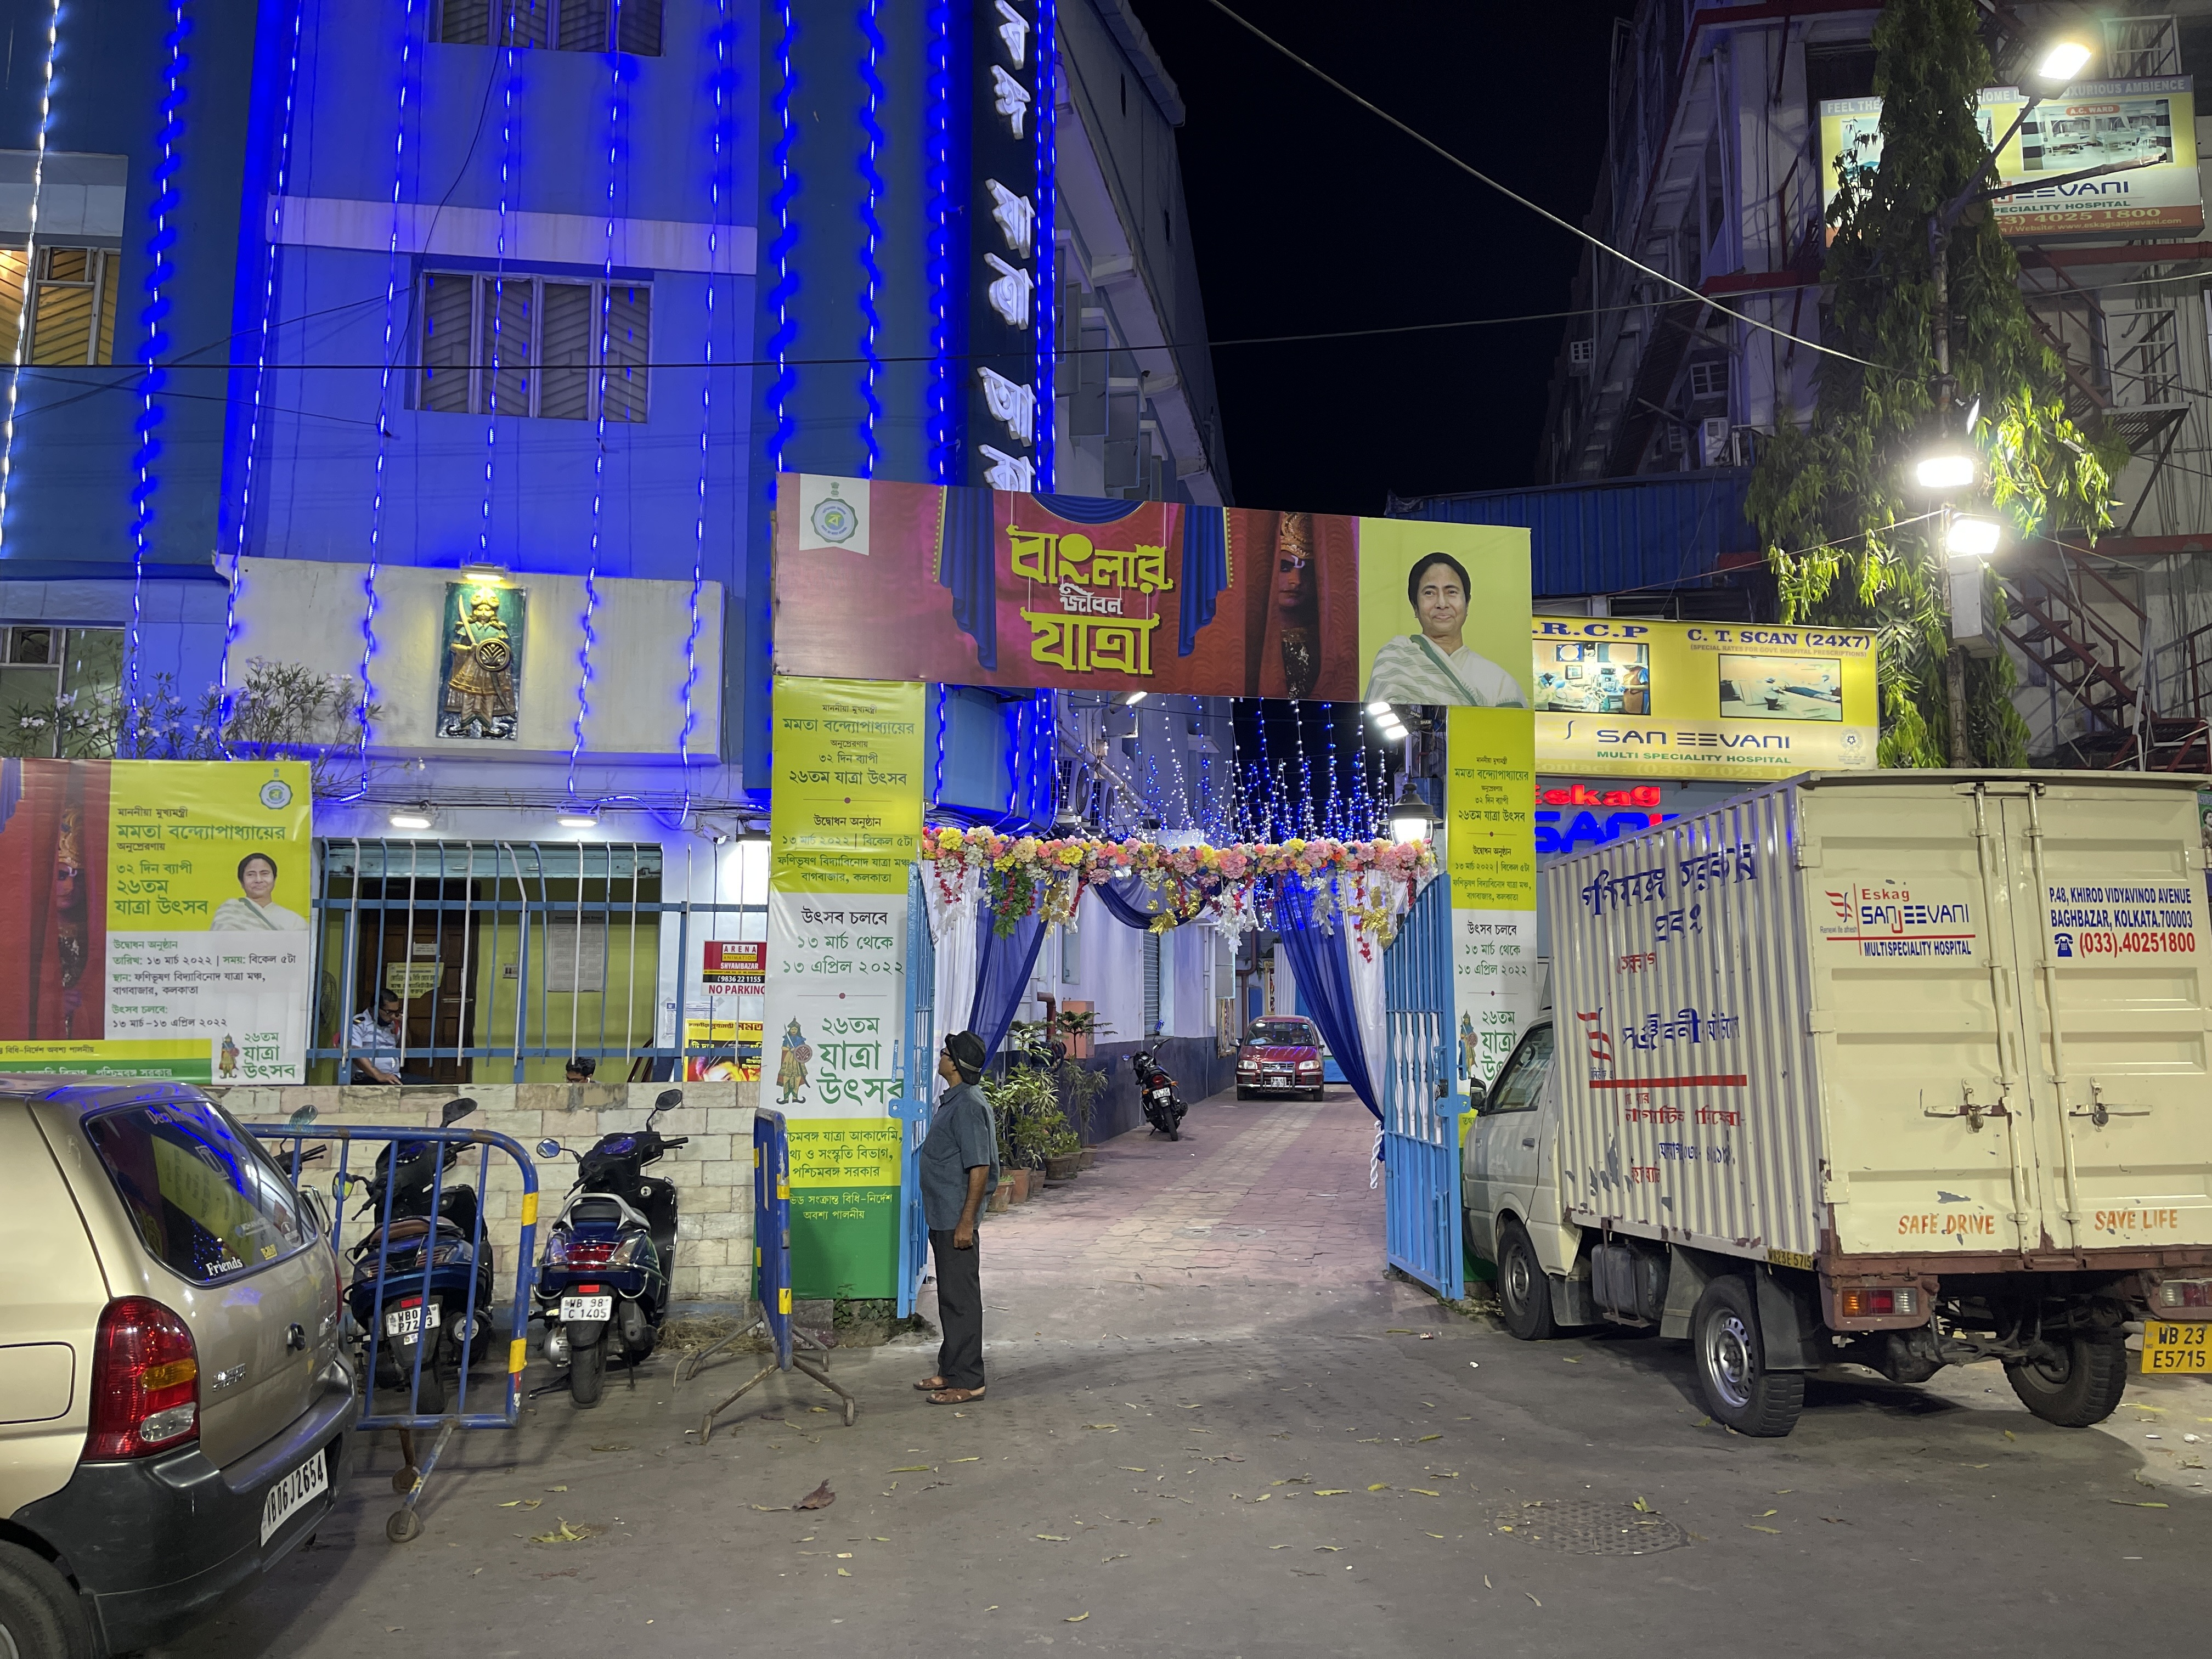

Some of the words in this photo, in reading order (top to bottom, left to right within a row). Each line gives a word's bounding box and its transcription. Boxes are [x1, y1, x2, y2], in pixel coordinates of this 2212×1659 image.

[1000, 523, 1178, 605] বাংলার
[1046, 576, 1126, 620] জীবন
[1022, 605, 1163, 684] যাত্রা
[1536, 614, 1656, 646] R.C.P
[1682, 622, 1802, 650] C.T.SCAN
[1809, 629, 1868, 654] 24X7
[820, 698, 853, 719] মাননীয়া৷৷
[850, 700, 879, 720] মুখ্যমন্ত্রী
[780, 715, 819, 733] মমতা
[828, 735, 871, 752] অনুপ্রেরণায়
[823, 718, 919, 738] বন্দ্যোপাধ্যায়ের
[1594, 723, 1670, 748] SAN
[1717, 727, 1793, 751] VANI
[814, 749, 836, 768] ৩২
[830, 748, 879, 765] দিন ব্যাপী
[1473, 752, 1495, 766] মাননীয়া
[1491, 752, 1512, 769] মুখ্যমন্ত্রী
[1595, 748, 1642, 760] MULTI
[1641, 749, 1724, 763] SPECIALITY
[1724, 753, 1792, 768] HOSPITAL
[789, 762, 836, 787] ২৬তম
[827, 765, 866, 788] যাত্রা
[864, 765, 909, 792] উৎসব
[1453, 765, 1477, 781] মমতা
[1476, 780, 1506, 793] অনুপ্রেরণায়
[1474, 766, 1533, 785] বন্দ্যোপাধ্যায়ের
[1472, 791, 1497, 806] ৩২দিন
[1493, 790, 1513, 809] ব্যাপী
[114, 860, 137, 876] ৩২
[109, 896, 154, 919] যাত্রা
[115, 801, 154, 819] মাননীয়া
[114, 821, 167, 845] মমতা
[114, 839, 168, 857] অনুপ্রেরণায়
[114, 876, 172, 899] ২৬তম
[135, 855, 164, 875] দিন
[150, 800, 192, 823] মুখ্যমন্ত্রী
[159, 854, 194, 879] ব্যাপী
[153, 889, 212, 919] উৎসব
[166, 822, 290, 844] বন্দ্যোপাধ্যায়ের
[776, 831, 800, 853] ১৩
[774, 851, 819, 872] ফণিভূষণ
[797, 829, 821, 851] মার্চ
[794, 905, 847, 928] উৎসব
[796, 868, 849, 882] বাগবাজার
[805, 810, 848, 828] উদ্বোধন
[815, 832, 854, 849] ২০২২
[815, 849, 871, 869] বিদ্যাবিনোদ
[846, 813, 885, 834] অনুষ্ঠান
[848, 907, 890, 927] চলবে
[851, 870, 894, 886] কলকাতা
[860, 828, 894, 850] বিকেল
[866, 854, 893, 868] যাত্রা
[891, 830, 916, 850] ৫টা
[1450, 875, 1477, 891] ফণিভূষণ
[1457, 805, 1485, 824] ২৬তম
[1453, 858, 1496, 873] ১৩মার্চ২০২২
[1464, 889, 1494, 902] বাগবাজার,
[1462, 916, 1496, 936] উৎসব
[1468, 842, 1494, 857] উদ্বোধন
[1472, 874, 1506, 889] বিদ্যাবিনোদ
[1481, 809, 1504, 823] যাত্রা
[1489, 841, 1515, 861] অনুষ্ঠান
[1492, 891, 1520, 904] কলকাতা
[1491, 922, 1522, 938] চলবে
[1496, 859, 1520, 874] বিকেল
[1496, 806, 1528, 825] উৎসব
[1505, 880, 1520, 889] যাত্রা
[1516, 877, 1532, 890] মঞ্চ
[1518, 859, 1534, 876] ৫টা
[1577, 864, 1667, 918] পশ্চিমবঙ্গ
[1651, 901, 1707, 949] এবং
[1678, 837, 1760, 899] সরকাব
[1860, 885, 1912, 904] Eskag
[1860, 901, 1971, 936] SANJEEVANI
[2046, 882, 2072, 906] P.48,
[2048, 905, 2113, 930] BAGHBAZAR,
[2068, 883, 2106, 905] KHIROD
[2102, 881, 2159, 906] VIDYAVINOD
[2113, 907, 2195, 930] KOLKATA.700003
[2155, 884, 2197, 906] AVENUE
[109, 968, 136, 987] স্থান:
[109, 952, 145, 969] তারিখ:
[108, 936, 147, 952] উদ্বোধন
[129, 968, 174, 987] ফণিভূষণ
[144, 953, 163, 969] ১৩
[142, 936, 181, 954] অনুষ্ঠান
[157, 953, 182, 967] মার্চ
[167, 963, 223, 984] বিদ্যাবিনোদ
[181, 952, 215, 967] ২০২২
[221, 967, 245, 986] যাত্রা
[221, 952, 250, 967] সময়:
[244, 967, 265, 981] মঞ্চ
[242, 947, 281, 967] বিকেল
[276, 946, 299, 969] ৫টা
[779, 958, 808, 976] ১৩
[791, 930, 820, 951] ১৩
[808, 949, 855, 978] এপ্রিল
[820, 929, 854, 952] মার্চ
[856, 929, 899, 951] থেকে
[856, 958, 908, 977] ২০২২
[1455, 956, 1500, 976] ১৩এপ্রিল
[1464, 938, 1499, 956] ১৩মার্চ
[1498, 942, 1523, 958] থেকে
[1500, 963, 1531, 978] ২০২২
[1863, 937, 1935, 960] MULTISPECIALITY
[1933, 938, 1974, 957] HOSPITAL
[2080, 928, 2198, 957] 033).40251800
[109, 984, 159, 998] বাগবাজার
[161, 979, 199, 999] কলকাতা
[105, 999, 140, 1017] উৎসব
[108, 1016, 146, 1031] ১৩মার্চ
[138, 1002, 168, 1017] চলবে:
[150, 1014, 199, 1031] ১৩ এপ্রিল
[200, 1014, 230, 1031] ২০২২
[821, 1012, 883, 1039] ২৬তম
[1480, 1007, 1519, 1026] ২৬তম
[1619, 1002, 1705, 1053] সঞ্জীবনী
[2, 1040, 47, 1057] বিধি-নির্দেশ
[43, 1043, 69, 1058] অবশ্য
[66, 1040, 98, 1054] মাননীয়া
[241, 1042, 282, 1064] যাত্রা
[242, 1028, 282, 1047] ২৬তম
[814, 1039, 883, 1073] যাত্রা
[1476, 1030, 1519, 1056] যাত্রা
[92, 1063, 140, 1078] পশ্চিমবঙ্গ
[134, 1062, 175, 1077] সরকার
[238, 1058, 296, 1085] উৎসব
[811, 1064, 909, 1111] উৎসব
[1622, 1102, 1690, 1132] নাগরিক
[783, 1127, 822, 1143] চমবঙ্গ
[821, 1127, 847, 1145] যাত্রা
[849, 1122, 901, 1145] আকাদেমি,
[789, 1144, 804, 1165] থ্য
[800, 1144, 819, 1160] ও
[815, 1143, 856, 1167] সংস্কৃতি
[852, 1141, 891, 1161] বিভাগ
[789, 1159, 844, 1181] পশ্চিমবঙ্গ
[841, 1164, 882, 1178] সরকার
[785, 1190, 810, 1207] ভিড
[805, 1190, 843, 1209] সংক্রান্ত
[839, 1189, 864, 1206] বিধি
[864, 1186, 895, 1206] নির্দেশ
[801, 1206, 830, 1223] অবশ্য
[831, 1203, 868, 1222] পালনীয়
[1895, 1210, 1943, 1240] SAFE
[1946, 1210, 2002, 1238] DRIVE
[2091, 1203, 2145, 1231] SAVE
[2137, 1205, 2186, 1234] LIFE
[2149, 1321, 2211, 1373] WB 23 E5715